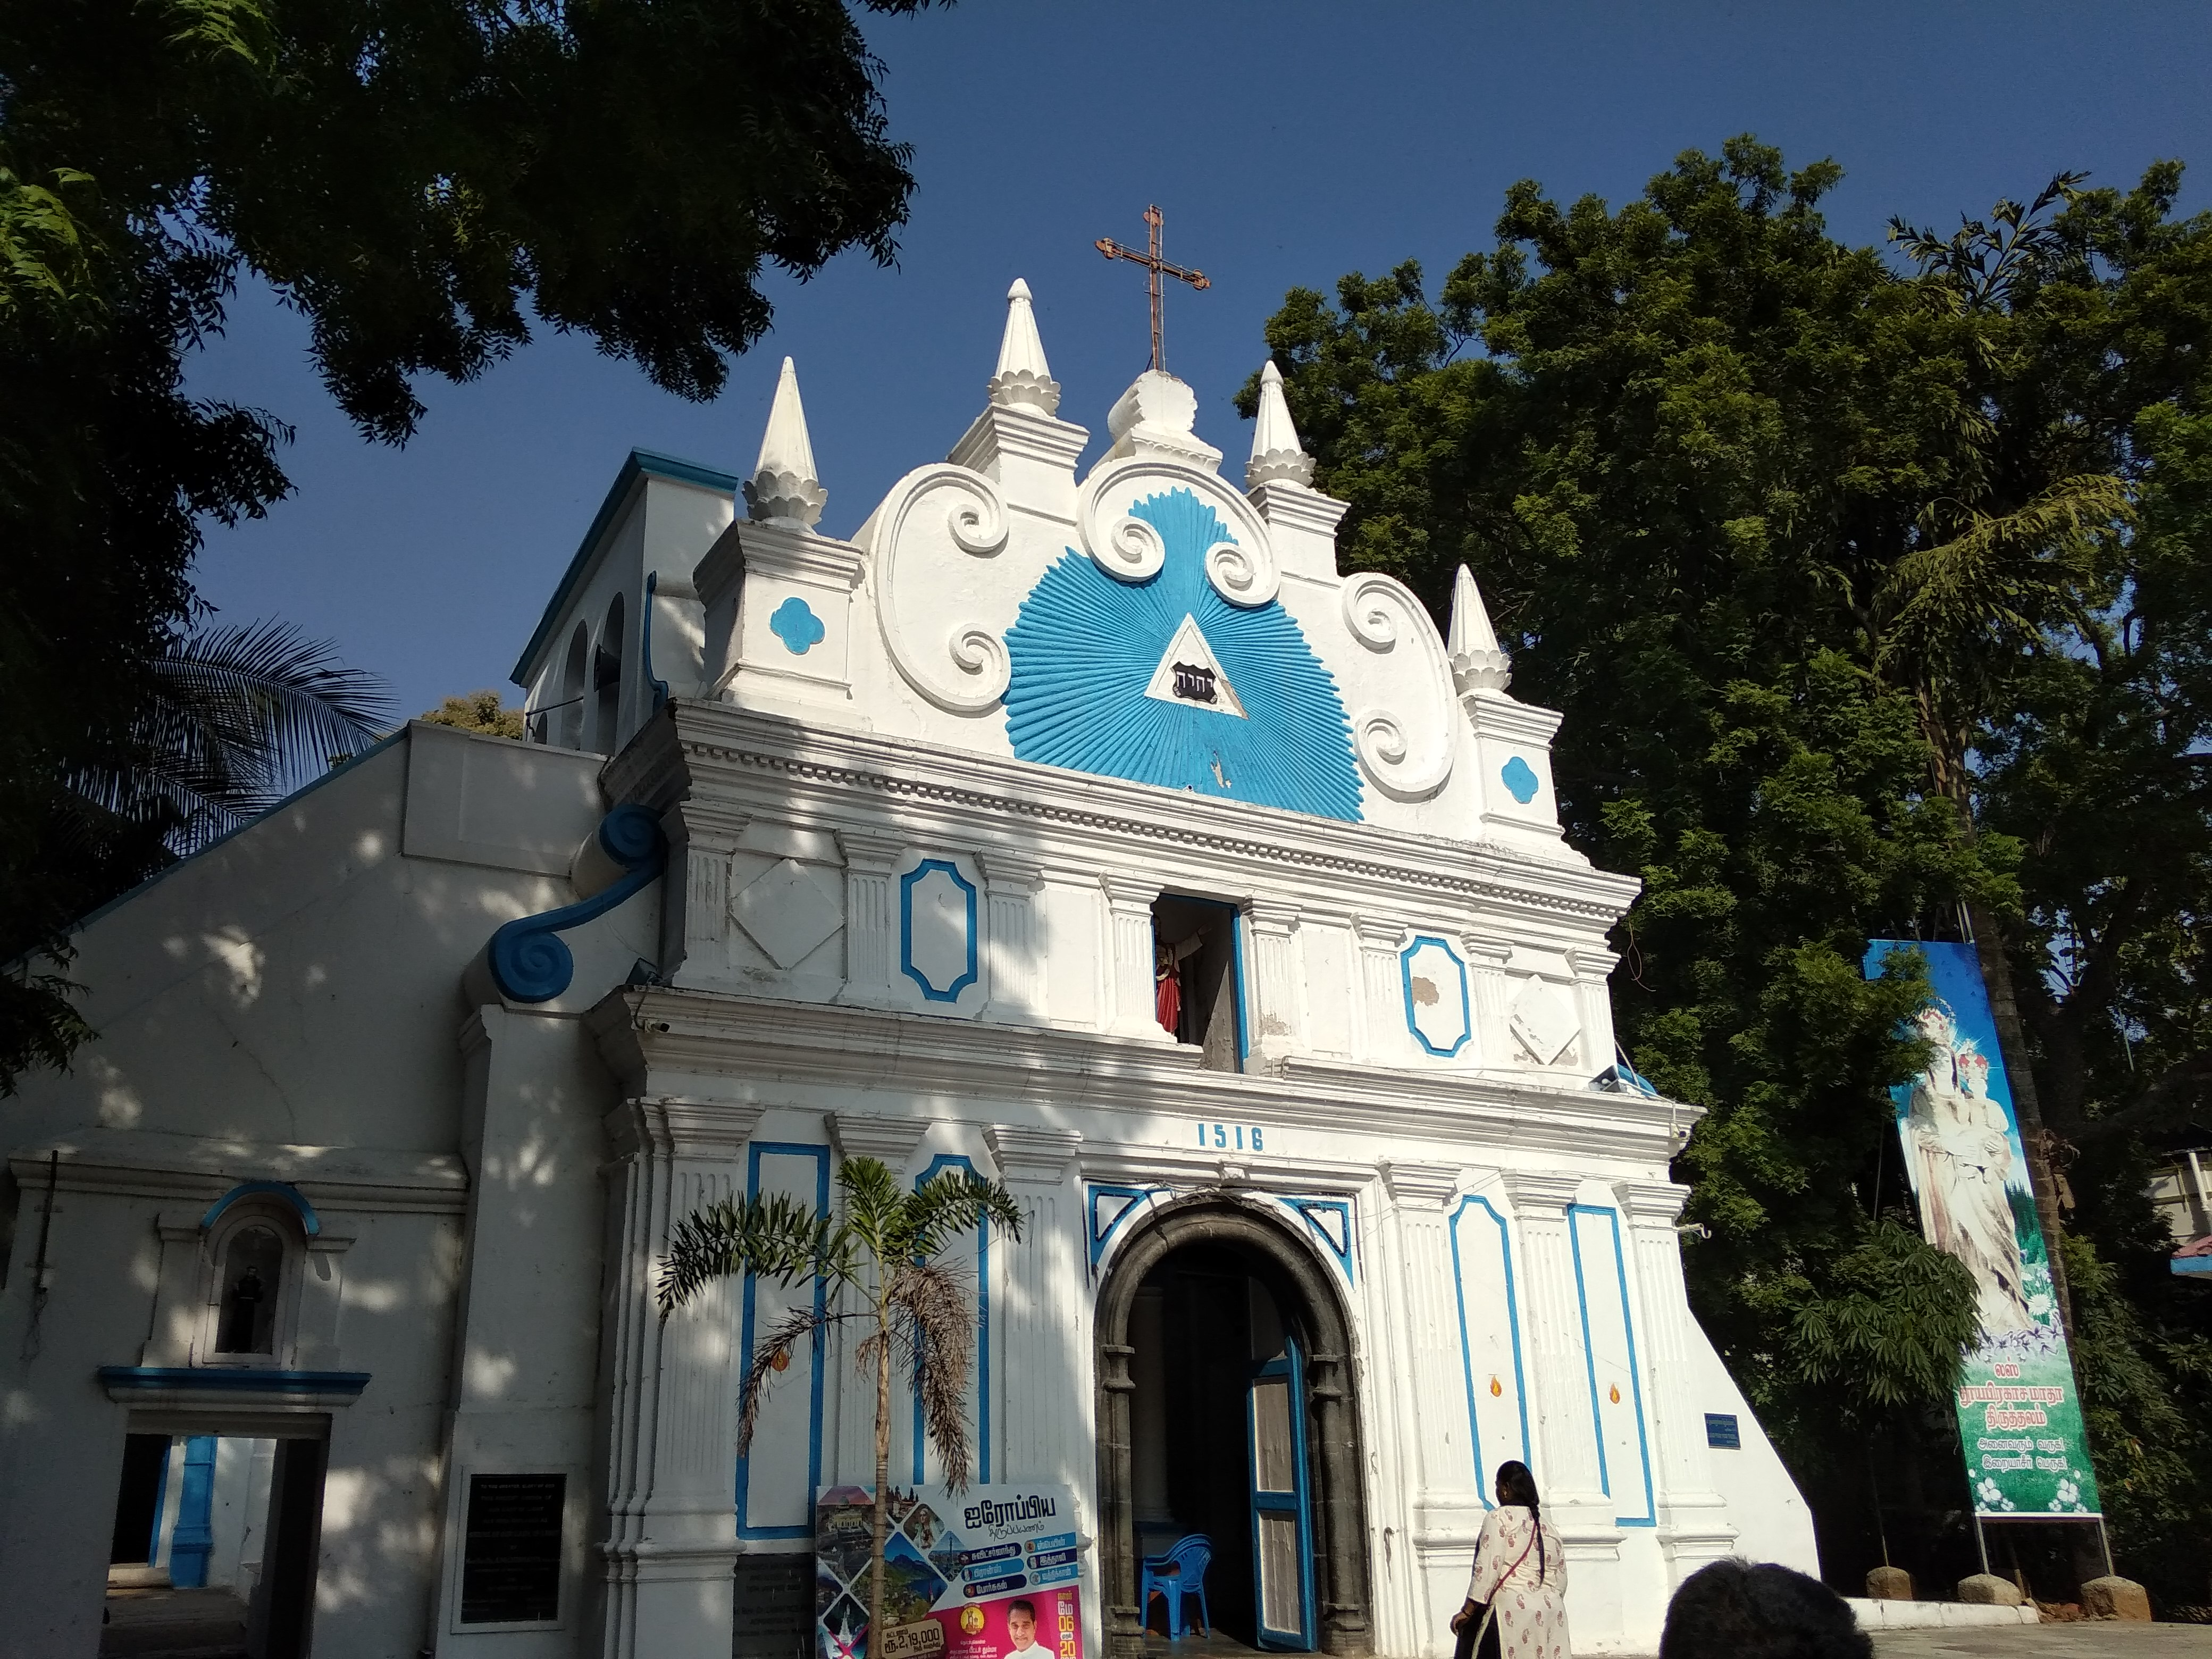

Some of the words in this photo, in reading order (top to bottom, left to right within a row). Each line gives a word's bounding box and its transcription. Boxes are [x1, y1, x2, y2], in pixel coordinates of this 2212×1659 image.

[1191, 1116, 1271, 1157] 1516
[1990, 1353, 2024, 1377] லஸ்
[1955, 1376, 2069, 1411] தூயபிரகாசமாதா
[1981, 1398, 2049, 1431] திருத்தலம்
[1974, 1432, 2039, 1455] அனைவரும்
[2033, 1437, 2067, 1455] வருக
[1978, 1451, 2036, 1473] இறையாசீா்
[2033, 1451, 2069, 1474] பெருக!
[960, 1490, 1060, 1534] ஐரோப்பிய
[984, 1518, 1048, 1544] இளுப்பயணம்
[968, 1543, 1019, 1565] சுவிட்சர்லாந்து
[1033, 1534, 1069, 1552] ஸ்பெயின்
[969, 1562, 1006, 1580] பிரான்ஸ்
[974, 1577, 1011, 1597] போா்சுகல்
[880, 1626, 941, 1657] ரூ.2,19,000
[965, 1640, 983, 1655] பீட்டா்